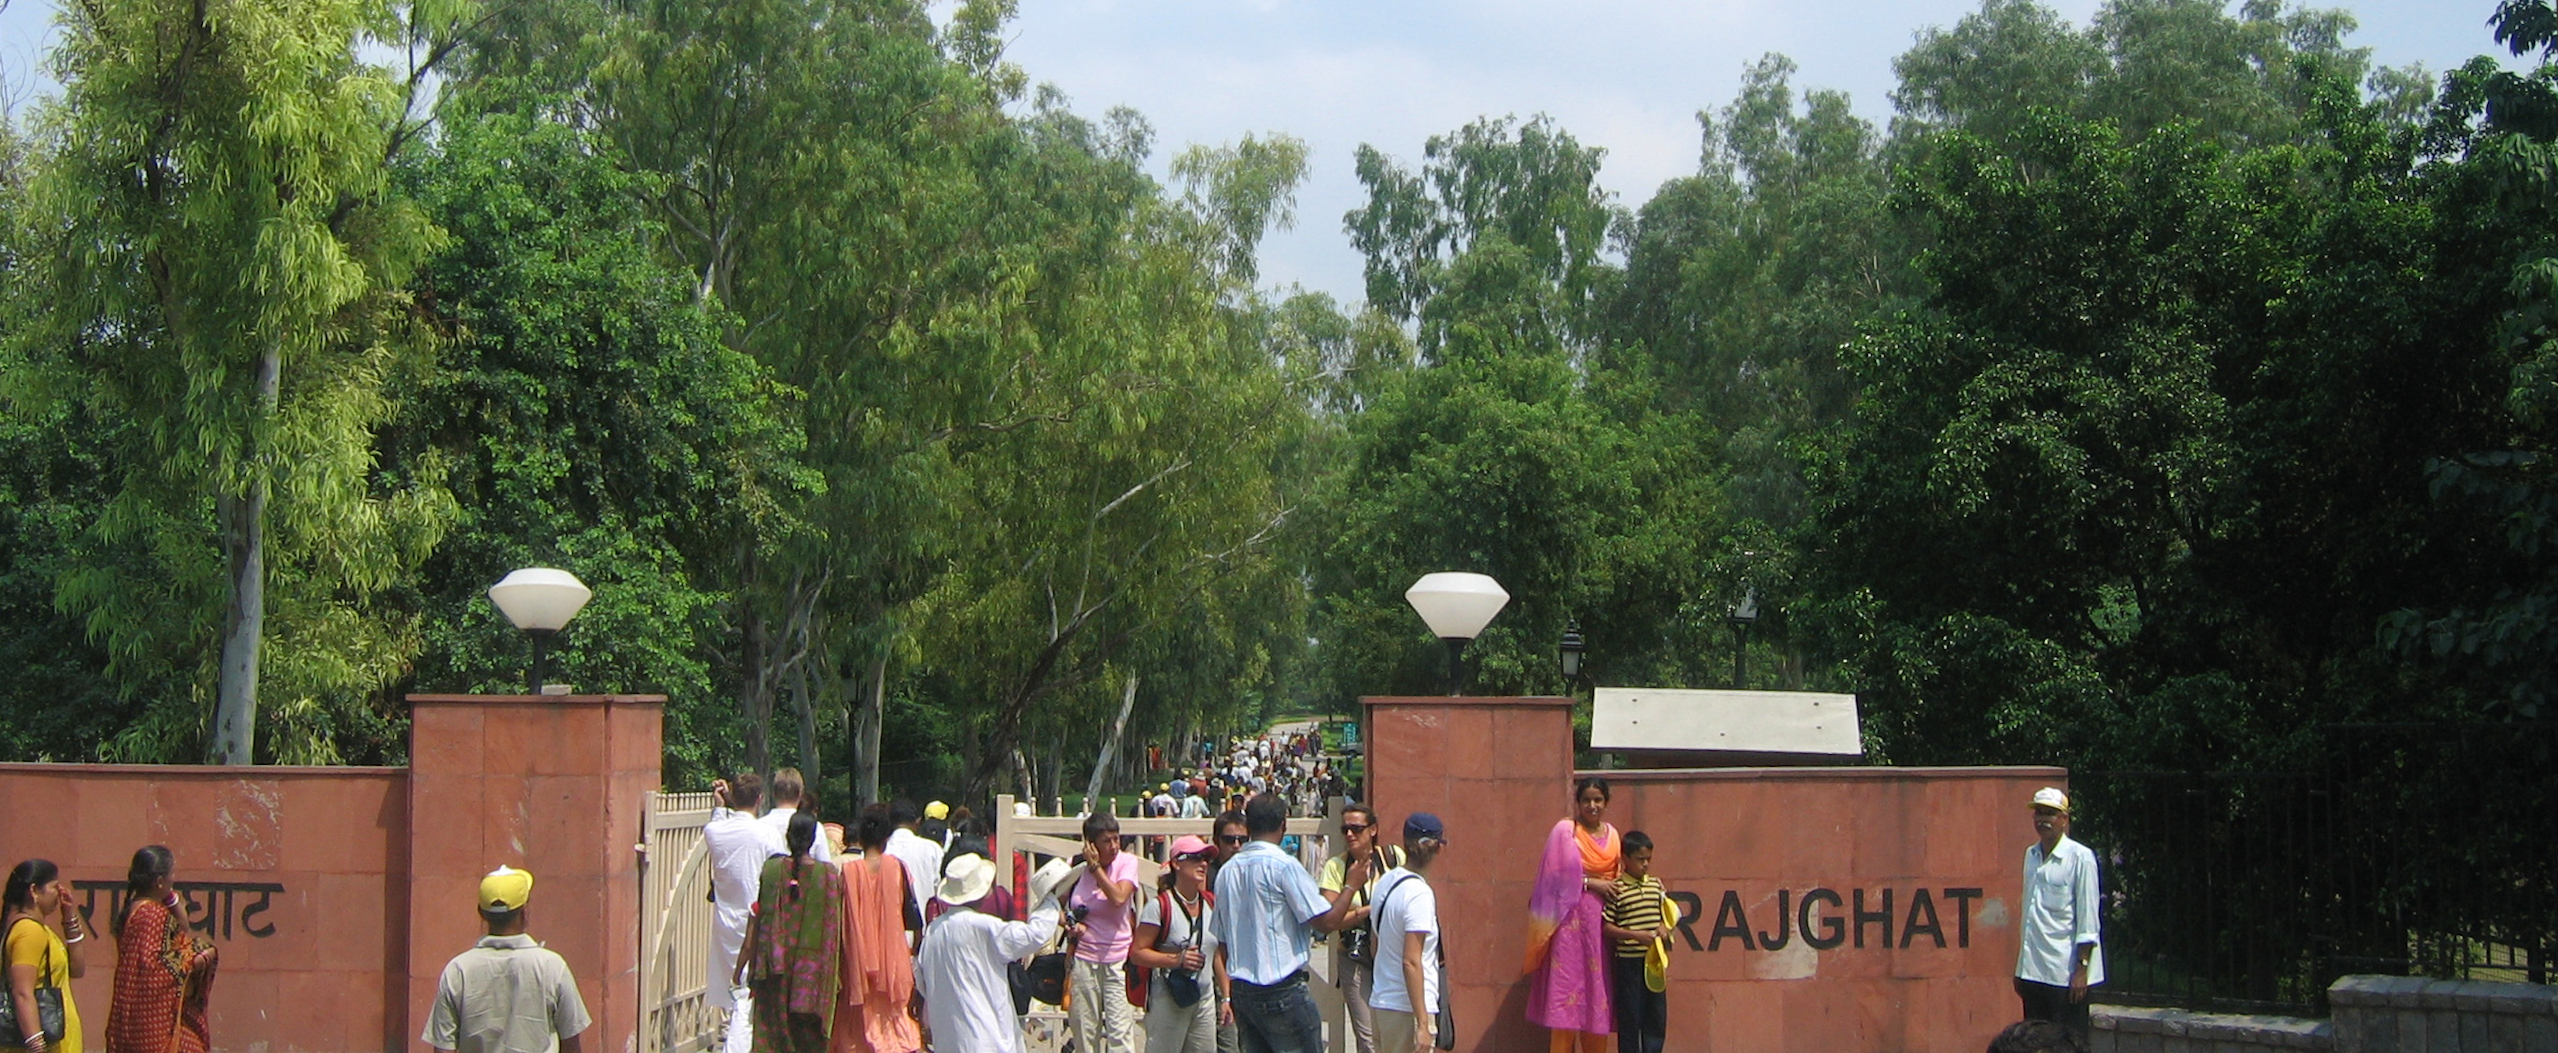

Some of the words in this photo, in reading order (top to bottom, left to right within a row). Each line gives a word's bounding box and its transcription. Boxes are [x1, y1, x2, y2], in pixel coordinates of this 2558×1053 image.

[179, 872, 289, 947] घाट
[1661, 886, 1984, 952] RAJGHAT